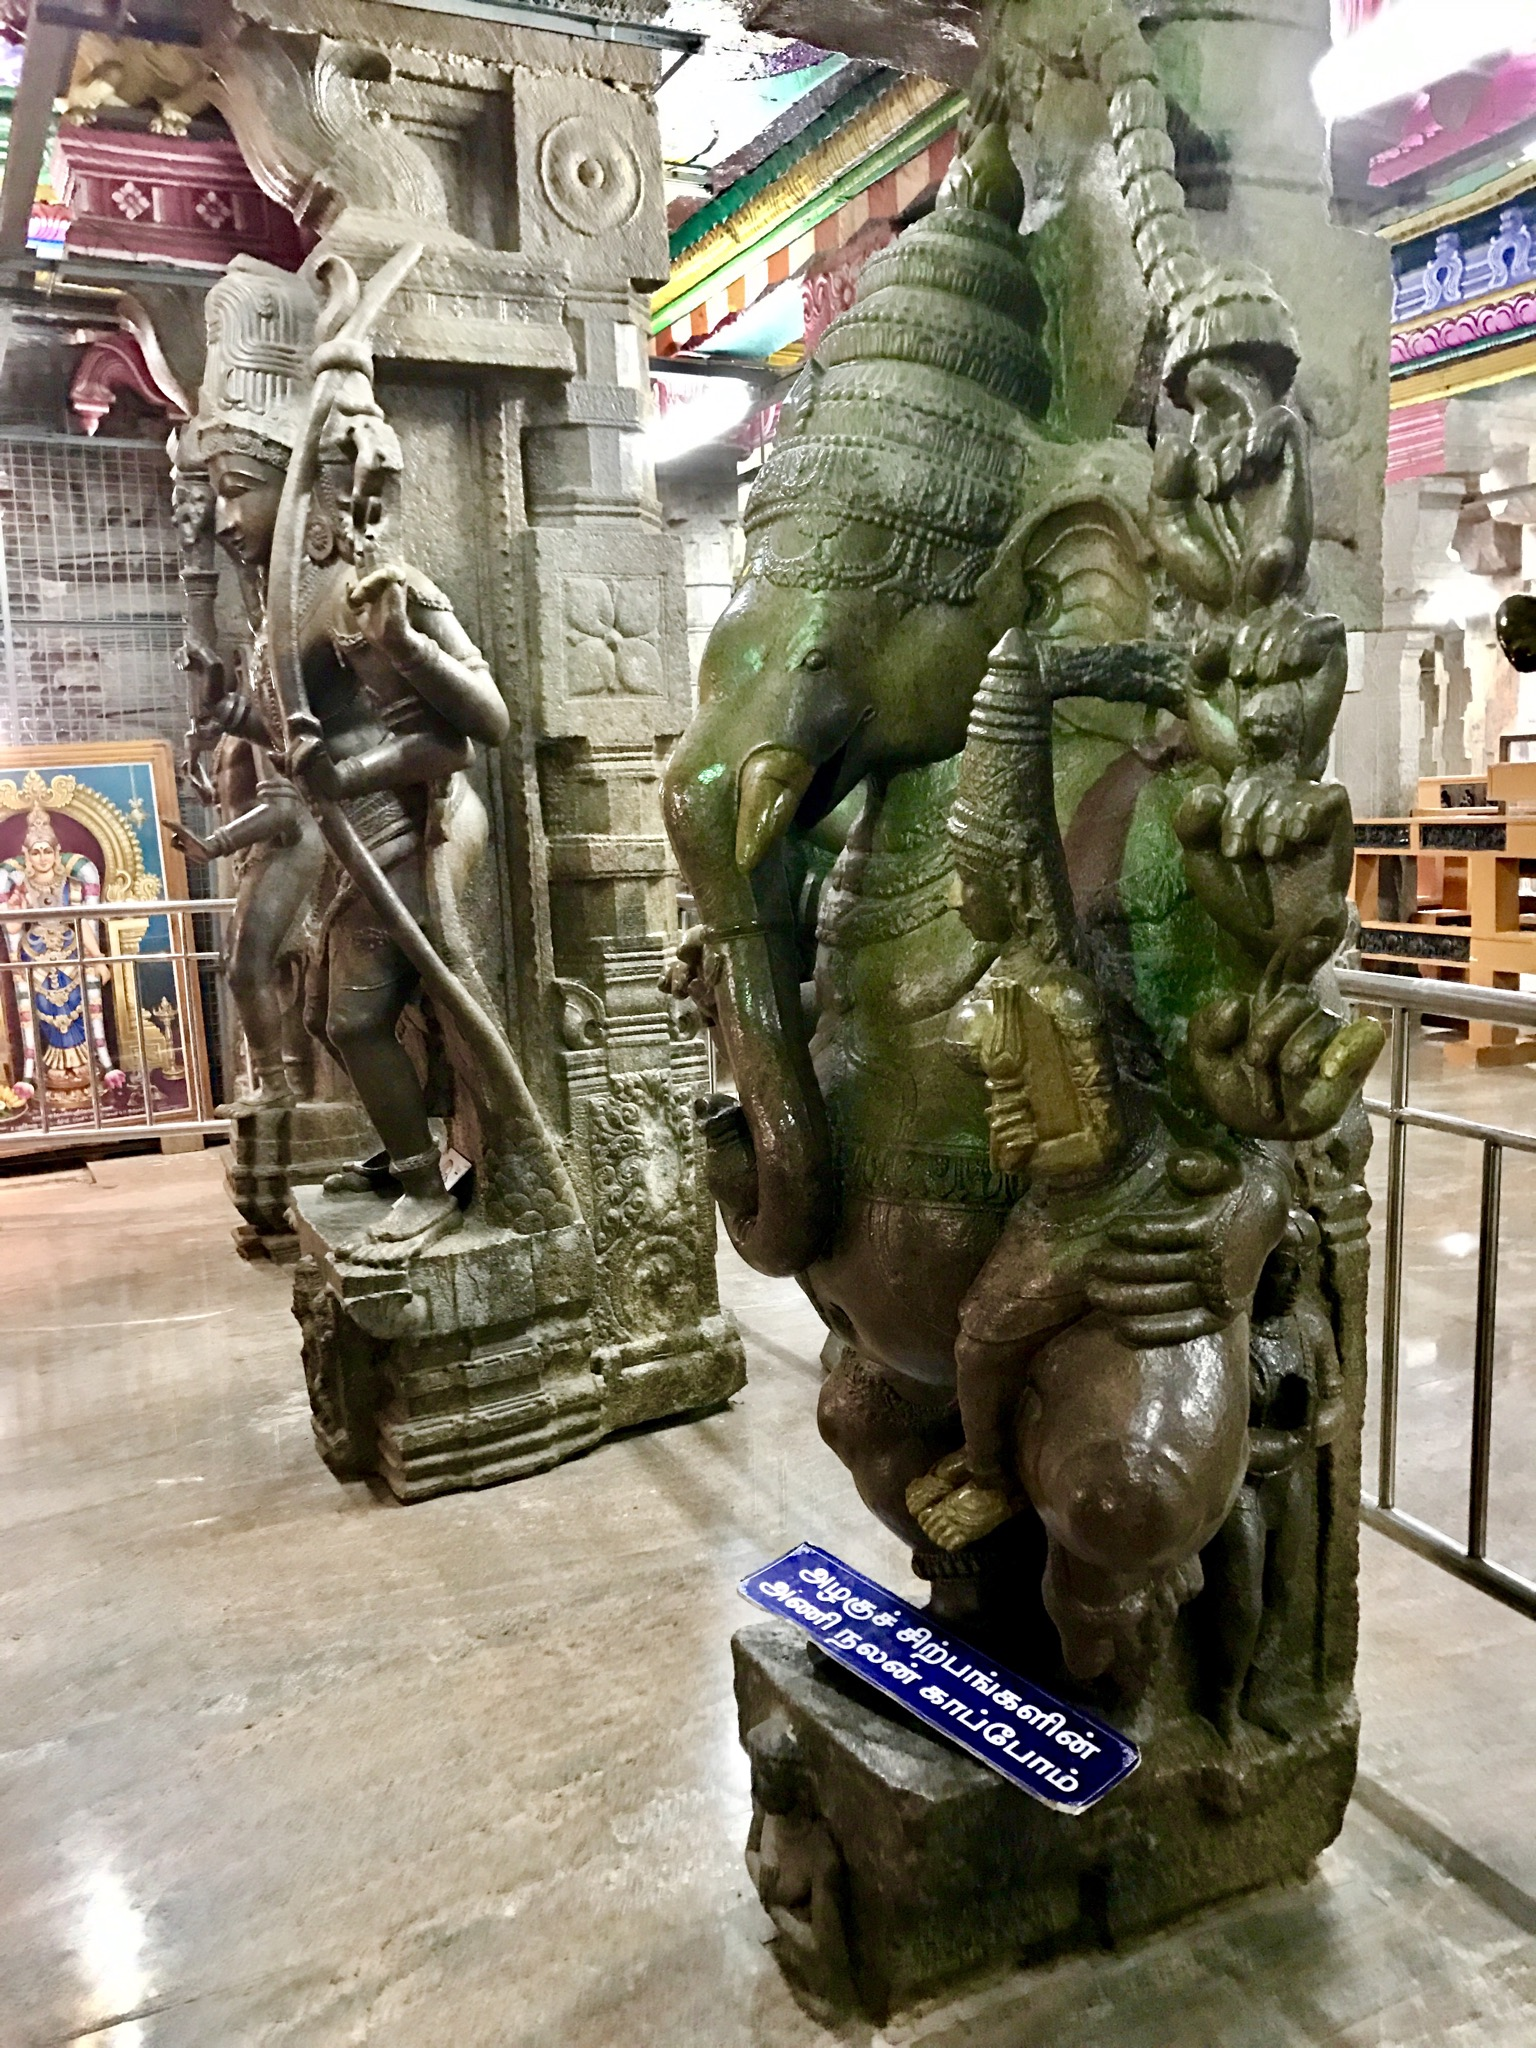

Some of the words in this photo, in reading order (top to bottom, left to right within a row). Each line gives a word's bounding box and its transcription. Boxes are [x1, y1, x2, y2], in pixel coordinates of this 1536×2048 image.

[755, 1574, 848, 1637] அணி
[794, 1557, 909, 1634] அழகுச்
[817, 1624, 929, 1693] நலன்
[890, 1617, 1106, 1768] சிற்பங்களின்
[909, 1679, 1087, 1802] காப்போம்